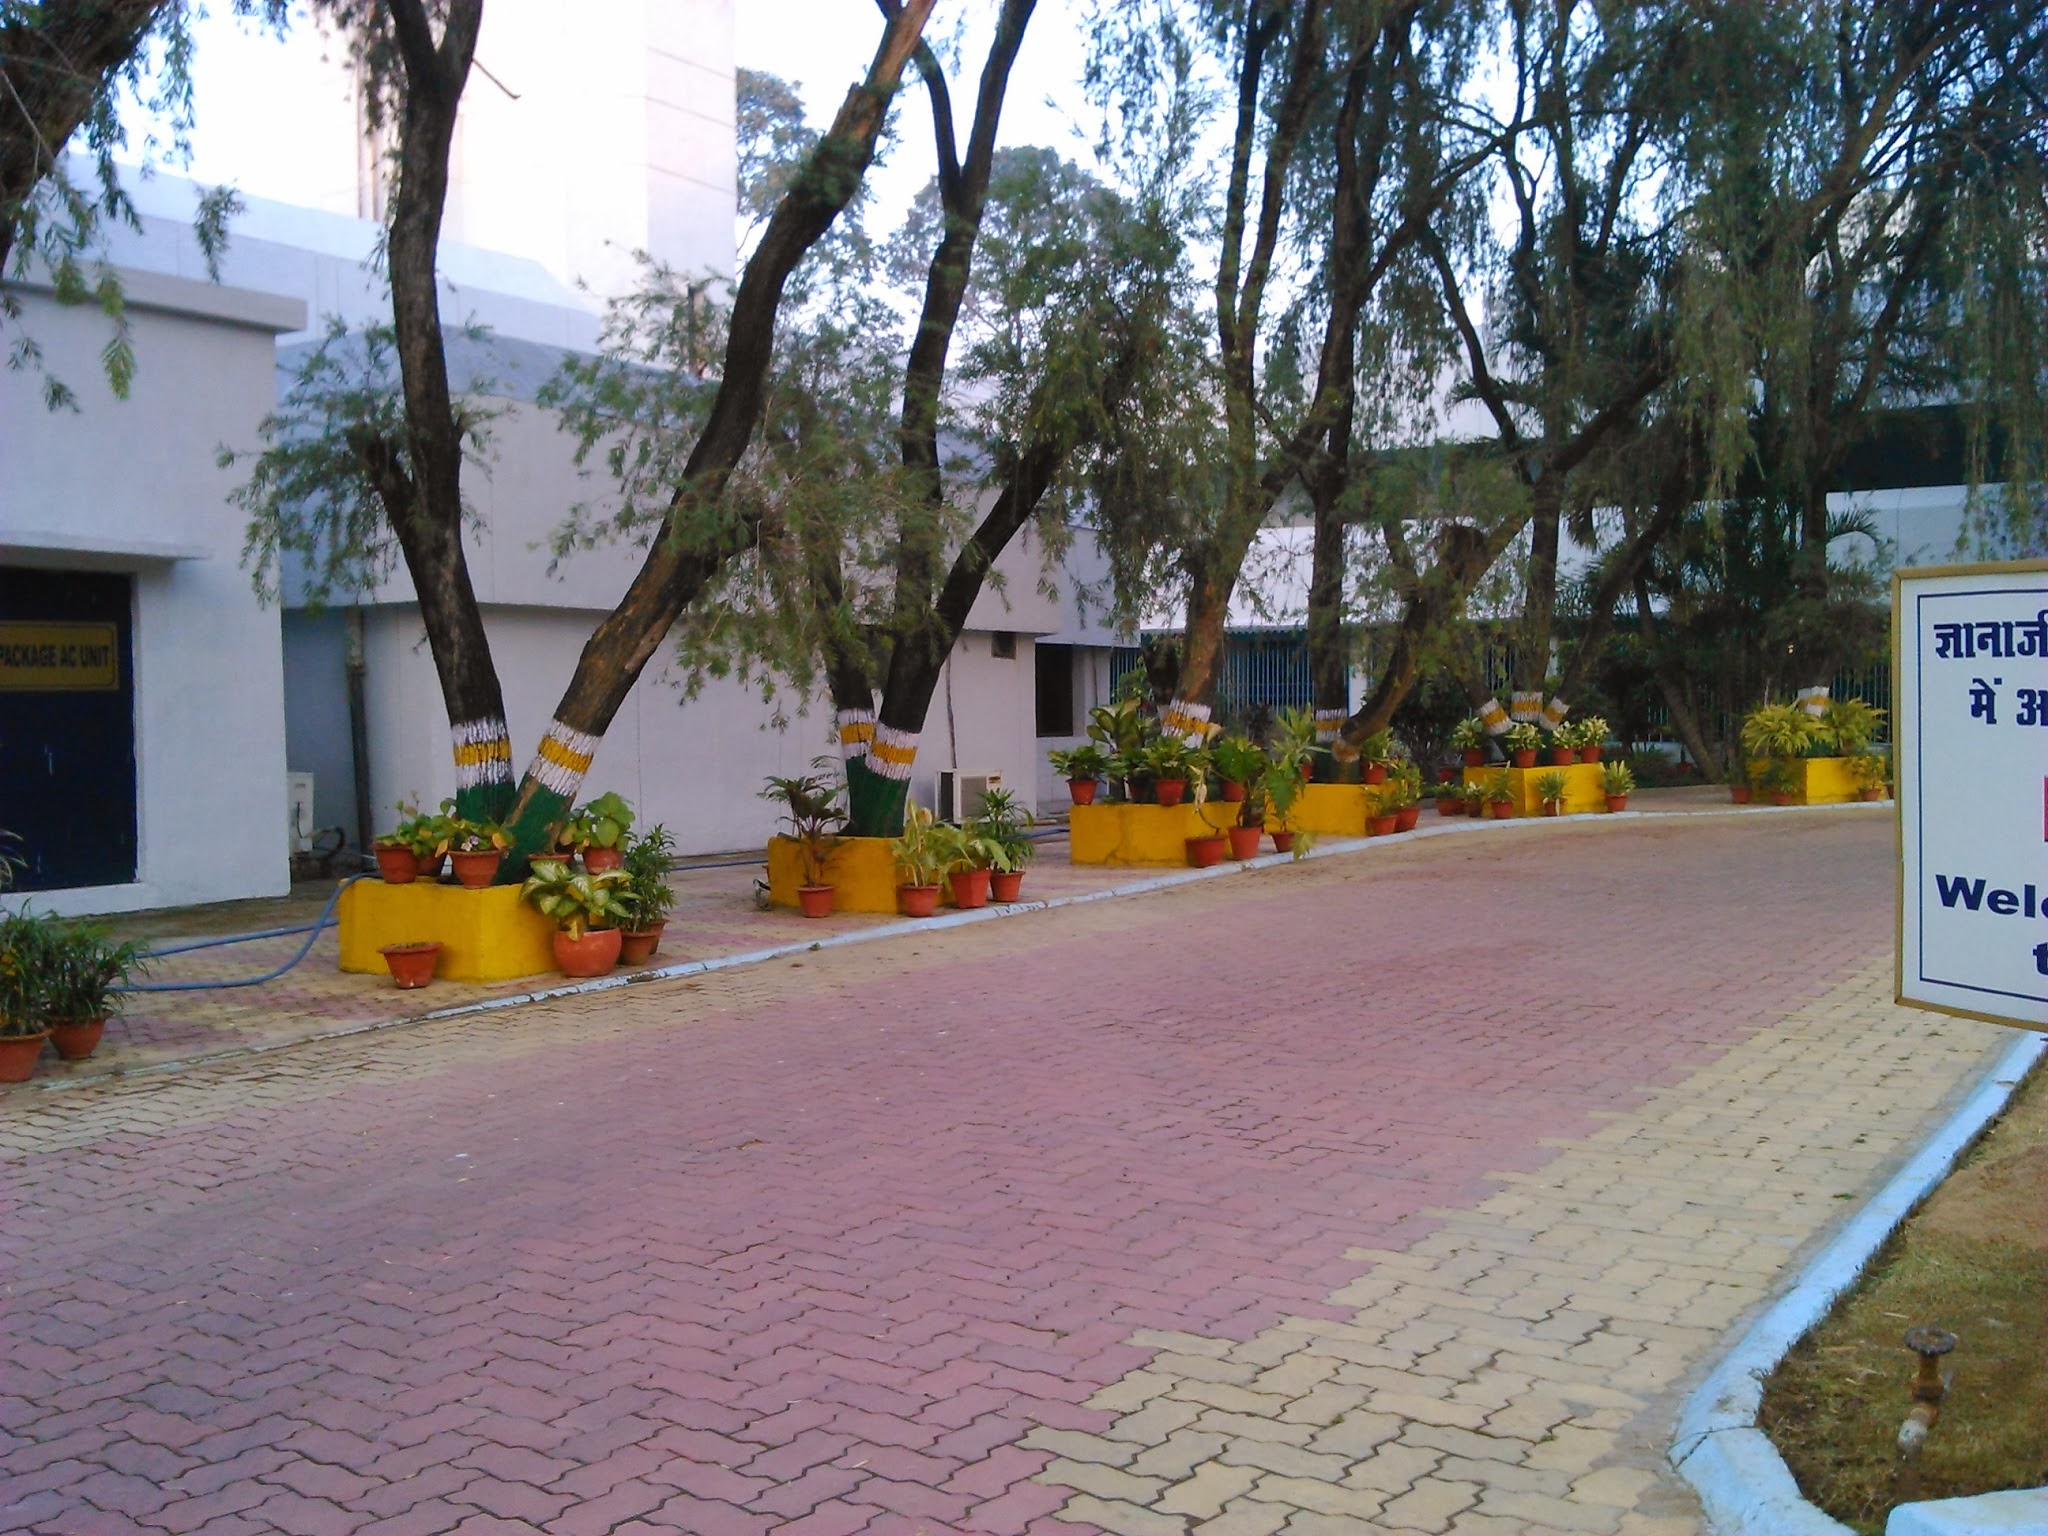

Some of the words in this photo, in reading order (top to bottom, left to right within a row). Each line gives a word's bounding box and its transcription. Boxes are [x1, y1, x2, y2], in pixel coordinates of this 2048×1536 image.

[1927, 604, 2046, 668] ज्ञानार्ज
[1962, 670, 2008, 726] में
[2012, 683, 2045, 730] अ
[1929, 872, 2043, 921] Wel